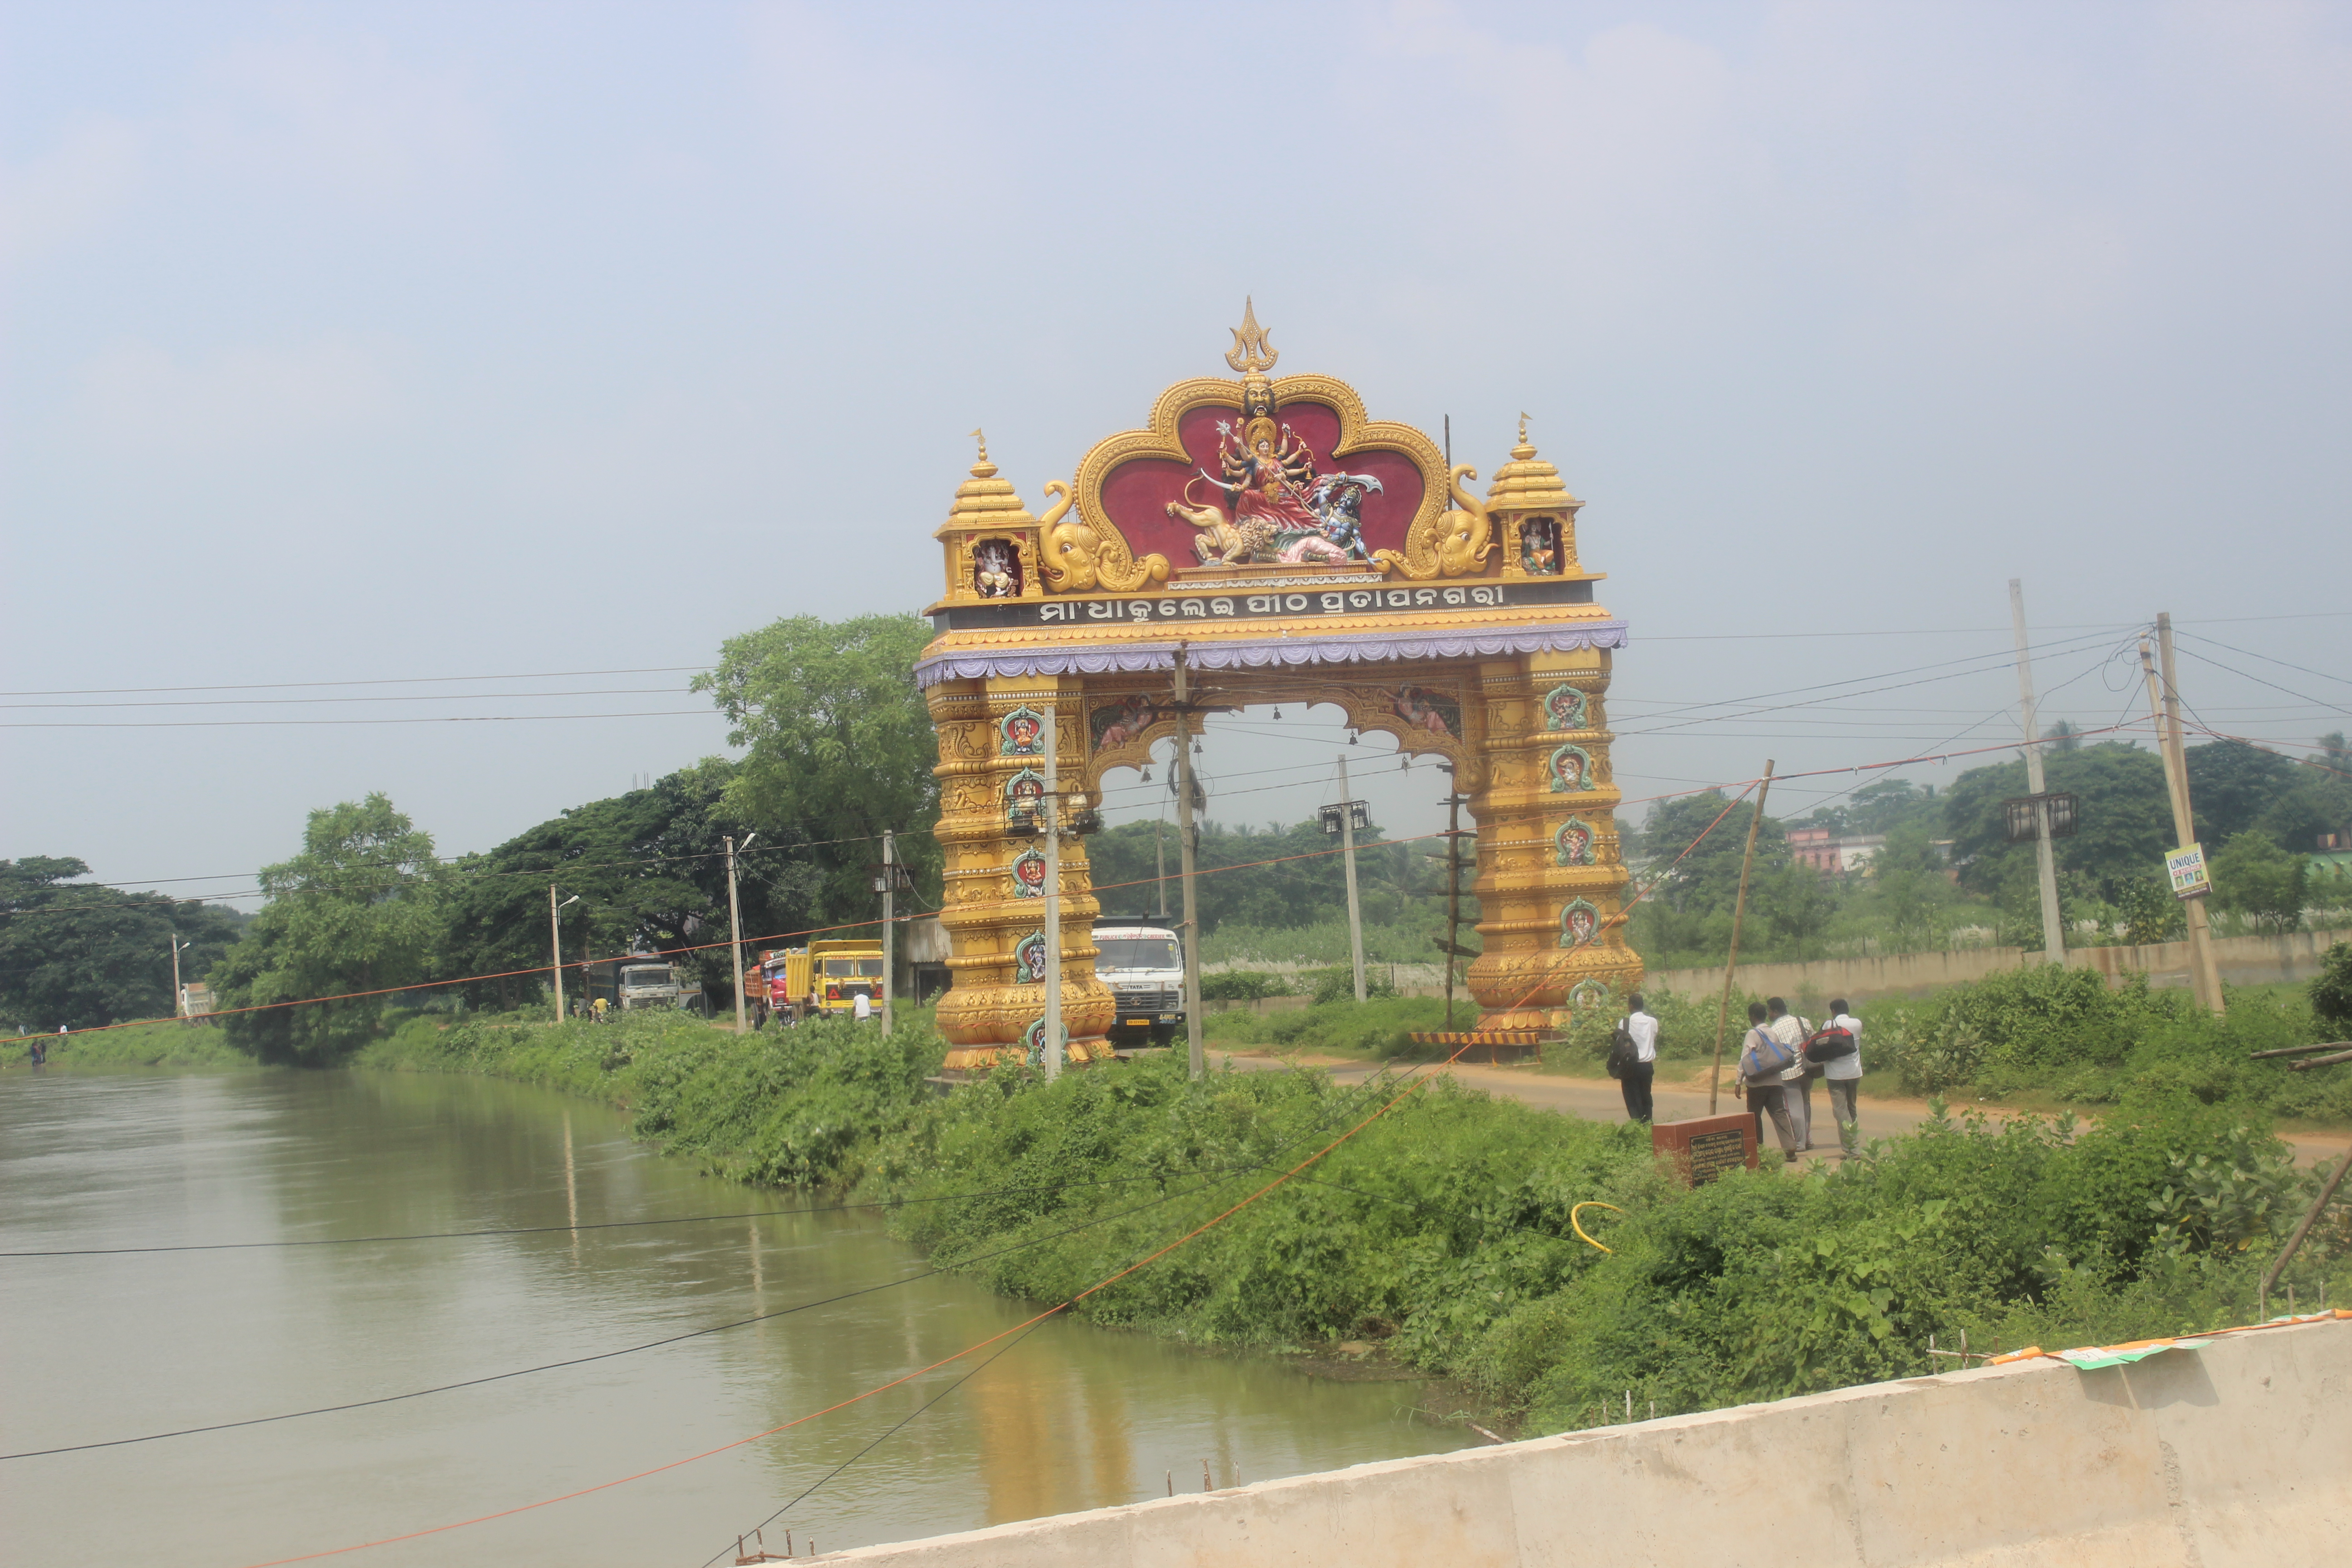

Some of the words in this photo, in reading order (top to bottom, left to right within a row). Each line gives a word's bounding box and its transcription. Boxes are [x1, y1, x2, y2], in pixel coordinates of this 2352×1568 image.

[1036, 592, 1237, 624] ମା’ଧାକୁଲେଇ
[1242, 593, 1308, 616] ପୀଠ
[1320, 581, 1505, 615] ପ୍ରତାପନଗରା
[2168, 850, 2201, 872] UNIQUE
[2178, 860, 2202, 877] SCIENCE